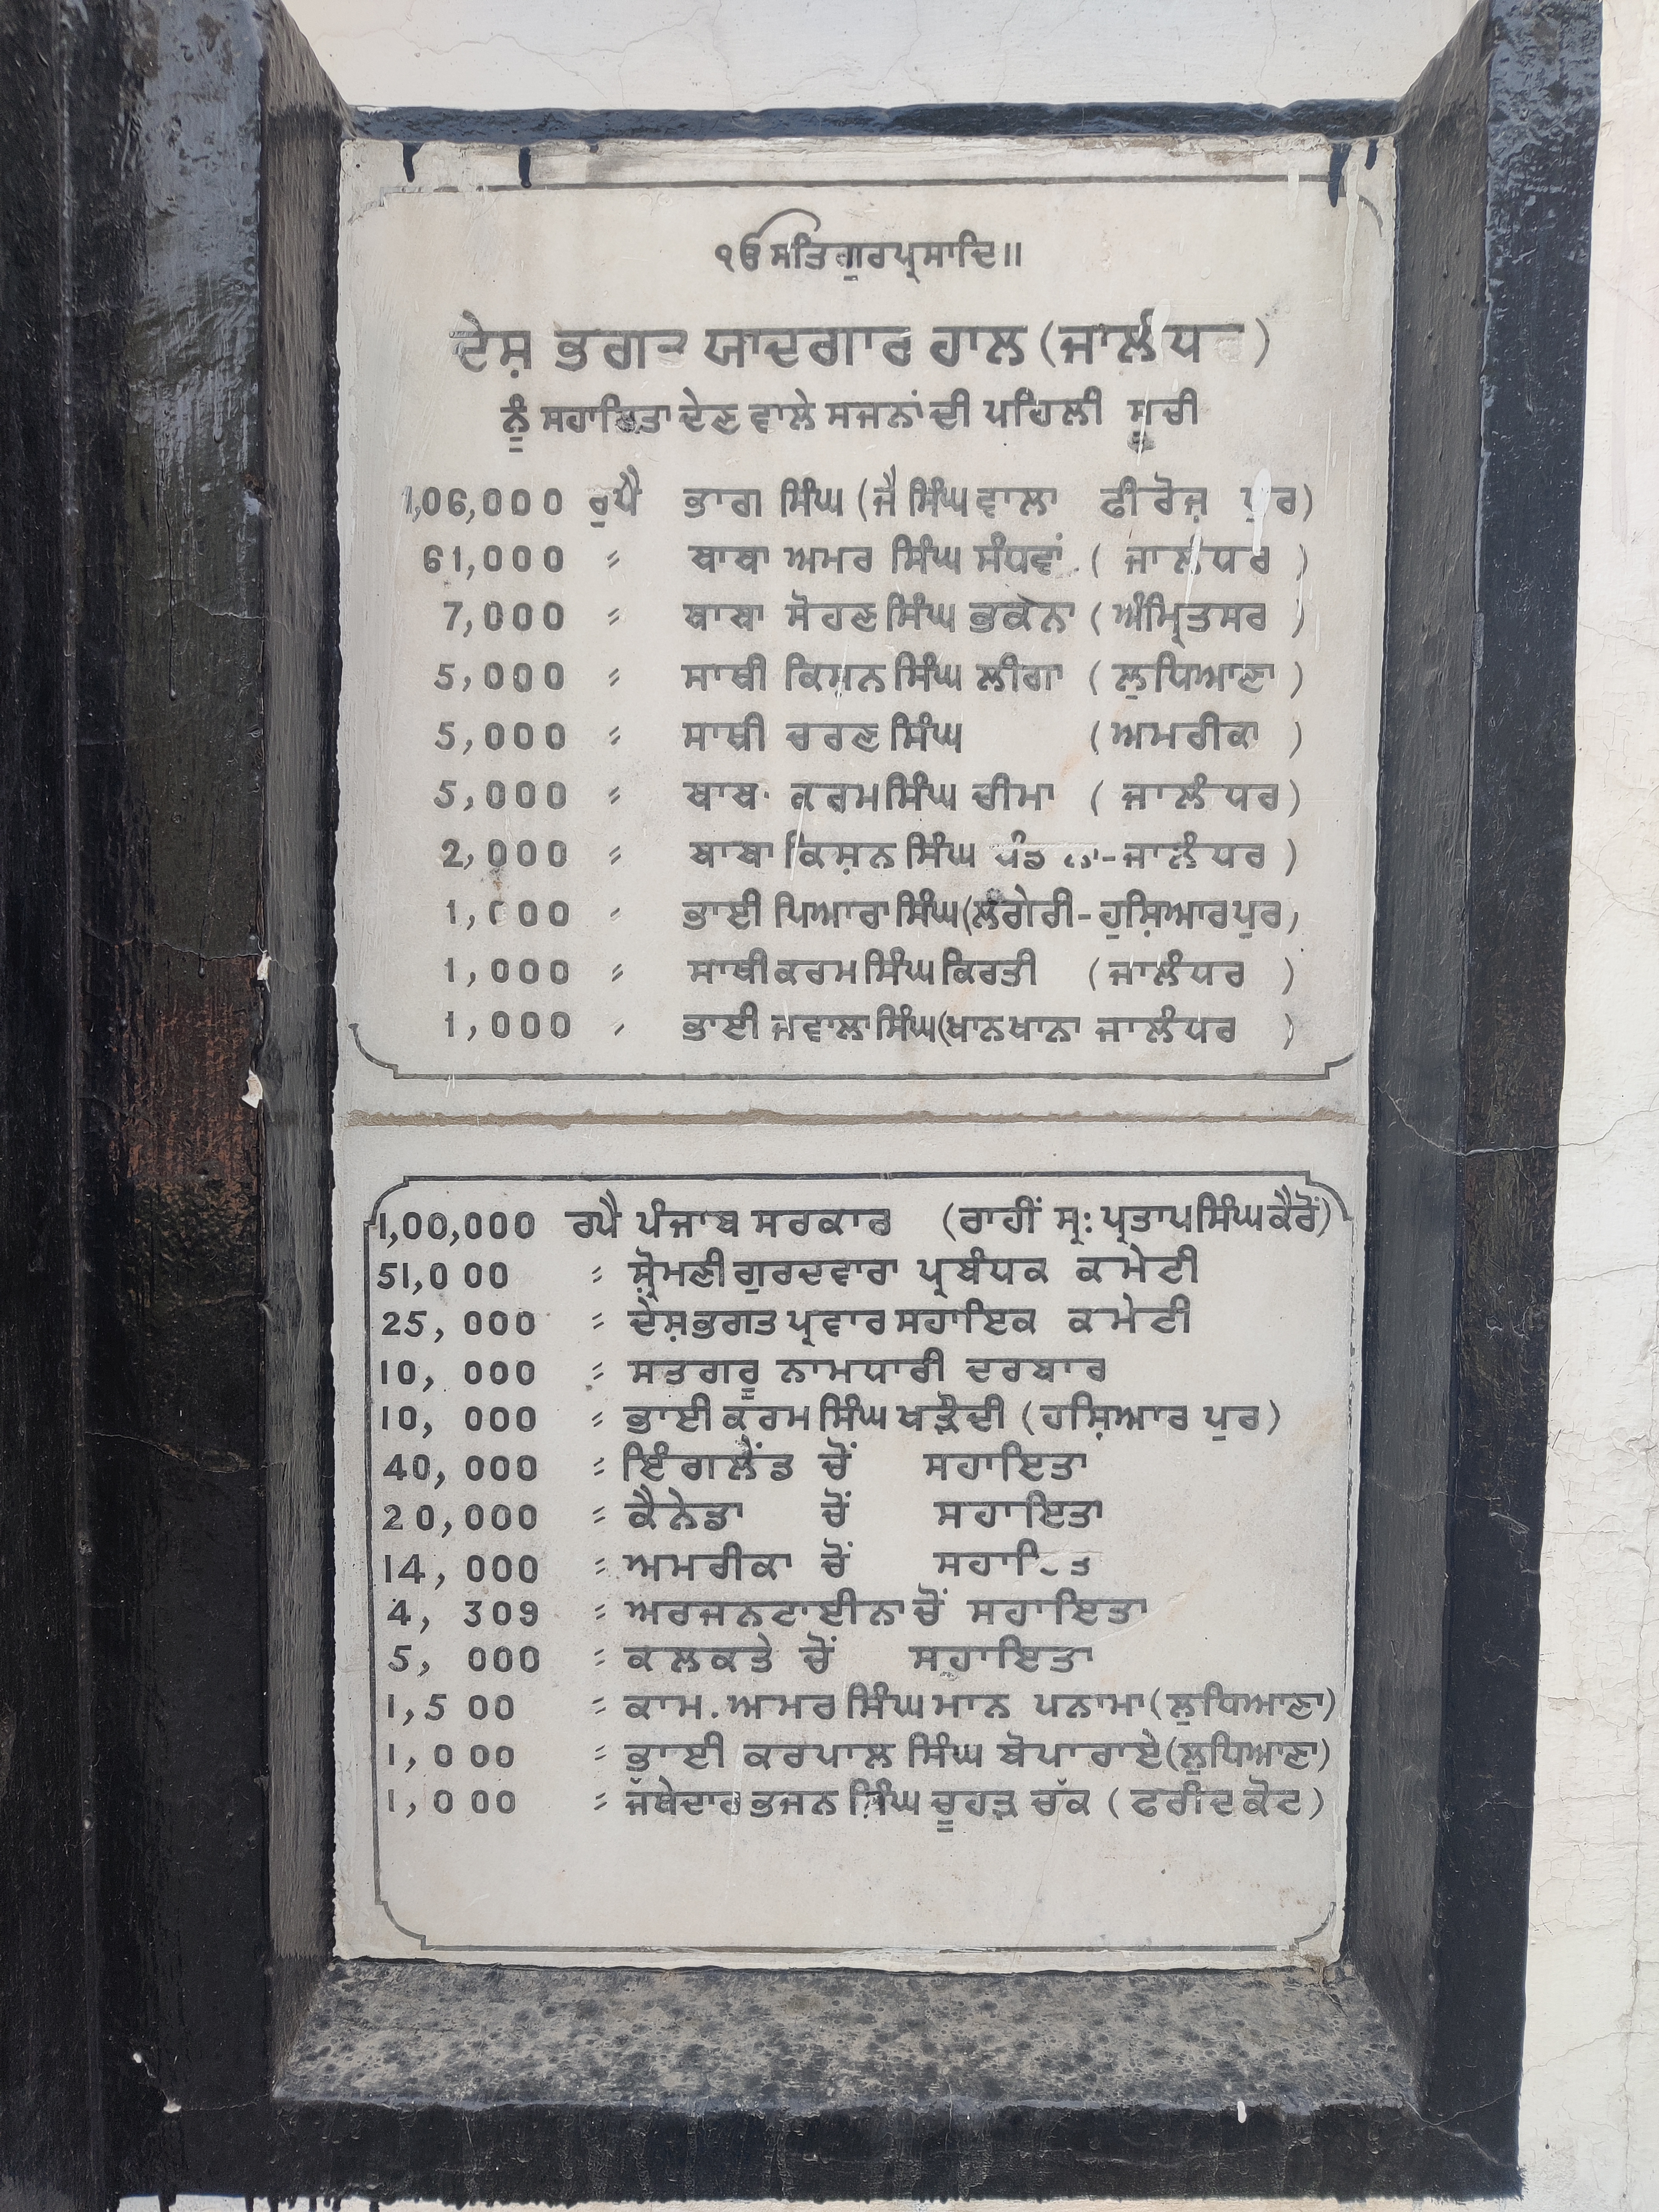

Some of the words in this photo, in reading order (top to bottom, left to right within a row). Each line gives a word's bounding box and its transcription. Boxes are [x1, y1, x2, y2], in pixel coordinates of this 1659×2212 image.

[710, 203, 827, 275] ੴ
[765, 225, 999, 290] ਸਤਿਗੁਰਪ੍ਰਸਾਦਿ
[441, 301, 537, 385] ਦੇਸ਼
[547, 323, 696, 376] ਭਂਗਤ
[700, 319, 930, 374] ਯਾਦਗਾਰ
[927, 317, 1032, 372] ਹਾਲ
[1054, 300, 1250, 371] ਜਾਲੰਧਰ
[491, 389, 536, 461] ਨੂੰ
[537, 391, 676, 439] ਸਹਾਇਤਾ
[674, 382, 745, 440] ਦੇਣ
[742, 383, 819, 439] ਵਾਲੇ
[819, 382, 978, 440] ਸਜਨਾਂਦੀ
[978, 381, 1107, 435] ਪਹਿਲੀ
[1118, 379, 1204, 437] ਸਚੀ
[390, 481, 567, 531] 1,06,000
[575, 457, 650, 531] ਰੁਪੈ
[678, 483, 769, 523] ਭਾਗ
[769, 466, 850, 526] ਸਿੰਘ
[868, 457, 904, 525] ਜੈ
[901, 472, 972, 523] ਸਿੰਘ
[975, 483, 1065, 522] ਵਾਲਾ
[1089, 466, 1217, 524] ਫੀਰੋਜ਼
[1224, 479, 1310, 526] ਰ
[414, 539, 568, 588] 61,000
[681, 539, 779, 579] ਥਾਥਾ
[771, 533, 877, 582] ਅਮਰ
[883, 528, 970, 583] ਸਿੰਘ
[969, 528, 1074, 581] ਸੰਧਵਾਂ
[1113, 528, 1285, 586] ਜਾਲੰਧਰ
[437, 598, 573, 646] 7,000
[677, 597, 773, 634] ਬਾਬਾ
[781, 587, 883, 638] ਸੋਹਣ
[881, 587, 962, 638] ਸਿੰਘ
[964, 589, 1081, 640] ਭਕेਨਾ
[1106, 587, 1277, 652] ਅੰਮ੍ਰਿਤਸਰ
[429, 658, 570, 698] 5,000
[676, 646, 772, 695] ਸਾਥੀ
[780, 649, 891, 700] ਕਿਸ਼ਨ
[889, 645, 967, 697] ਸਿੰਘ
[967, 649, 1073, 705] ਲੀਗਾ
[1104, 645, 1284, 705] ਲੁਧਿਆਣਾ
[426, 719, 571, 760] 5,000
[676, 706, 773, 756] ਸਾਥੀ
[775, 707, 888, 760] ਚਰਣ
[887, 706, 973, 763] ਸਿੰਘ
[1103, 704, 1276, 757] ਅਮਰੀਕਾ
[431, 777, 570, 815] 5,000
[677, 775, 773, 820] ਬਾਬਾ
[784, 777, 882, 821] ਕਰਮ
[880, 763, 964, 816] ਸਿੰਘ
[965, 765, 1060, 818] ਚੀਮਾ
[1110, 770, 1287, 821] ਜਾਲੀਧਰ
[433, 838, 578, 877] 2,000
[681, 836, 779, 873] ਬਾਬਾ
[779, 826, 902, 878] ਕਿਸ਼ਨ
[901, 825, 984, 876] ਸਿੰਘ
[983, 825, 1275, 882] ਪੰਡਨਾ-ਜਾਲੰਧਰ
[441, 894, 574, 940] 1,000
[679, 883, 766, 936] ਭਾਈ
[769, 885, 892, 935] ਪਿਆਰਾ
[892, 881, 963, 934] ਸਿੰਘ
[966, 881, 1293, 947] ਲੰਗੇਰੀ- ਹੁਸ਼ਿਆਰਪੁਰ
[440, 953, 573, 991] 1,000
[676, 944, 771, 992] ਸਾਥੀ
[772, 955, 860, 993] ਕਰਮ
[860, 941, 938, 992] ਸਿੰਘ
[939, 941, 1047, 993] ਕਿਰਤੀ
[1100, 943, 1254, 993] ਜਾਲੰਧਰ
[436, 1005, 574, 1049] 1,000
[674, 995, 765, 1050] ਭਾਈ
[767, 1010, 875, 1049] ਜਵਾਲਾ
[873, 997, 940, 1047] ਸਿੰਘ
[942, 1010, 1087, 1049] ਖਾਨਖਾਨਾ
[1089, 998, 1242, 1048] ਜਾਲੰਧਰ
[377, 1209, 539, 1251] 1,00,000
[560, 1186, 629, 1246] ਰਪੈ
[633, 1196, 744, 1242] ਪੰਜਾਬ
[746, 1203, 896, 1243] ਸਰਕਾਰ
[952, 1187, 1049, 1241] ਰਾਹੀਂ
[1049, 1198, 1098, 1251] ਸ੍ਰ:
[1096, 1181, 1325, 1250] ਪ੍ਰਤਾਪਸਿੰਘਕੈਰੋਂ
[373, 1254, 514, 1298] 51,000
[620, 1244, 732, 1303] ਸ੍ਰੋਮਣੀ
[730, 1255, 906, 1300] ਗੁਰਦਵਾਰਾ
[906, 1243, 1053, 1301] ਪ੍ਰਬੰਧਕ
[1062, 1235, 1208, 1292] ਕਮੇਟੀ
[375, 1300, 548, 1345] 25,000
[621, 1295, 691, 1346] ਦੇਸ
[688, 1307, 780, 1344] ਭਗਤ
[778, 1303, 890, 1352] ਪ੍ਰਵਾਰ
[890, 1292, 1051, 1345] ਸਹਾਇਕ
[1056, 1285, 1201, 1346] ਕਮੇਟੀ
[376, 1356, 541, 1397] 10,000
[620, 1357, 765, 1403] ਸਤਗਰੂ
[773, 1343, 952, 1390] ਨਾਮਧਾਰੀ
[955, 1354, 1112, 1390] ਦਰਬਾਰ
[378, 1401, 544, 1444] 10,000
[619, 1388, 717, 1439] ਭਾਈ
[719, 1402, 816, 1436] ਕਰਮ
[817, 1389, 890, 1435] ਸਿੰਘ
[890, 1390, 1012, 1440] ਖੜੋਦੀ
[1032, 1387, 1195, 1449] ਹਸਿਆਰ
[1198, 1396, 1267, 1448] ਪੁਰ
[377, 1449, 546, 1493] 40,000
[616, 1433, 799, 1489] ਇੰਗਲੈਂਡ
[811, 1435, 859, 1485] ਚੋਂ
[919, 1436, 1095, 1485] ਸਹਾਇਤਾ
[374, 1499, 542, 1543] 20,000
[620, 1483, 753, 1539] ਕੈਨੇਡਾ
[812, 1481, 857, 1533] ਚੋਂ
[930, 1488, 1114, 1535] ਸਹਾਇਤਾ
[380, 1551, 543, 1595] 14,000
[615, 1539, 800, 1587] ਅਮਰੀਕਾ
[808, 1532, 865, 1580] ਚੋਂ
[924, 1537, 1102, 1586] ਸਹਾਰਿਤ
[381, 1595, 548, 1637] 4,309
[613, 1584, 910, 1632] ਅਰਜਨਟਾਈਨਾ
[909, 1577, 952, 1632] ਚੋਂ
[961, 1584, 1159, 1632] ਸਹਾਇਤਾ
[383, 1641, 547, 1683] 5,000
[612, 1630, 782, 1680] ਕਲਕਤੇ
[794, 1626, 843, 1679] ਚੋਂ
[905, 1630, 1109, 1685] ਸਹਾਇਤਾ
[382, 1689, 517, 1731] 1,500
[618, 1687, 724, 1724] ਕਾਮ.
[722, 1687, 839, 1726] ਆਮਰ
[841, 1677, 928, 1725] ਸਿੰਘ
[927, 1689, 1019, 1726] ਮਾਨ
[1029, 1689, 1151, 1725] ਪਨਾਮਾ
[1162, 1675, 1328, 1733] ਲੁਧਿਆਣਾ
[381, 1741, 519, 1776] 1,000
[618, 1725, 732, 1789] ਭੁਾਈ
[738, 1739, 900, 1778] ਕਰਪਾਲ
[899, 1724, 986, 1775] ਸਿੰਘ
[992, 1724, 1167, 1775] ਬੋਪਾਰਾਏ
[1176, 1726, 1321, 1780] ਲੁਧਿਆਣਾ
[381, 1786, 519, 1823] 1,000
[618, 1771, 748, 1825] ਜਥੇਦਾਰ
[748, 1785, 845, 1824] ਭਜਨ
[843, 1773, 926, 1825] ਸਿੰਘ
[927, 1783, 1023, 1838] ਚੂਹਤ
[1021, 1776, 1099, 1823] ਚਂਕ
[1123, 1777, 1238, 1825] ਫਰੀਦ
[1236, 1772, 1307, 1822] ਕੋਟ